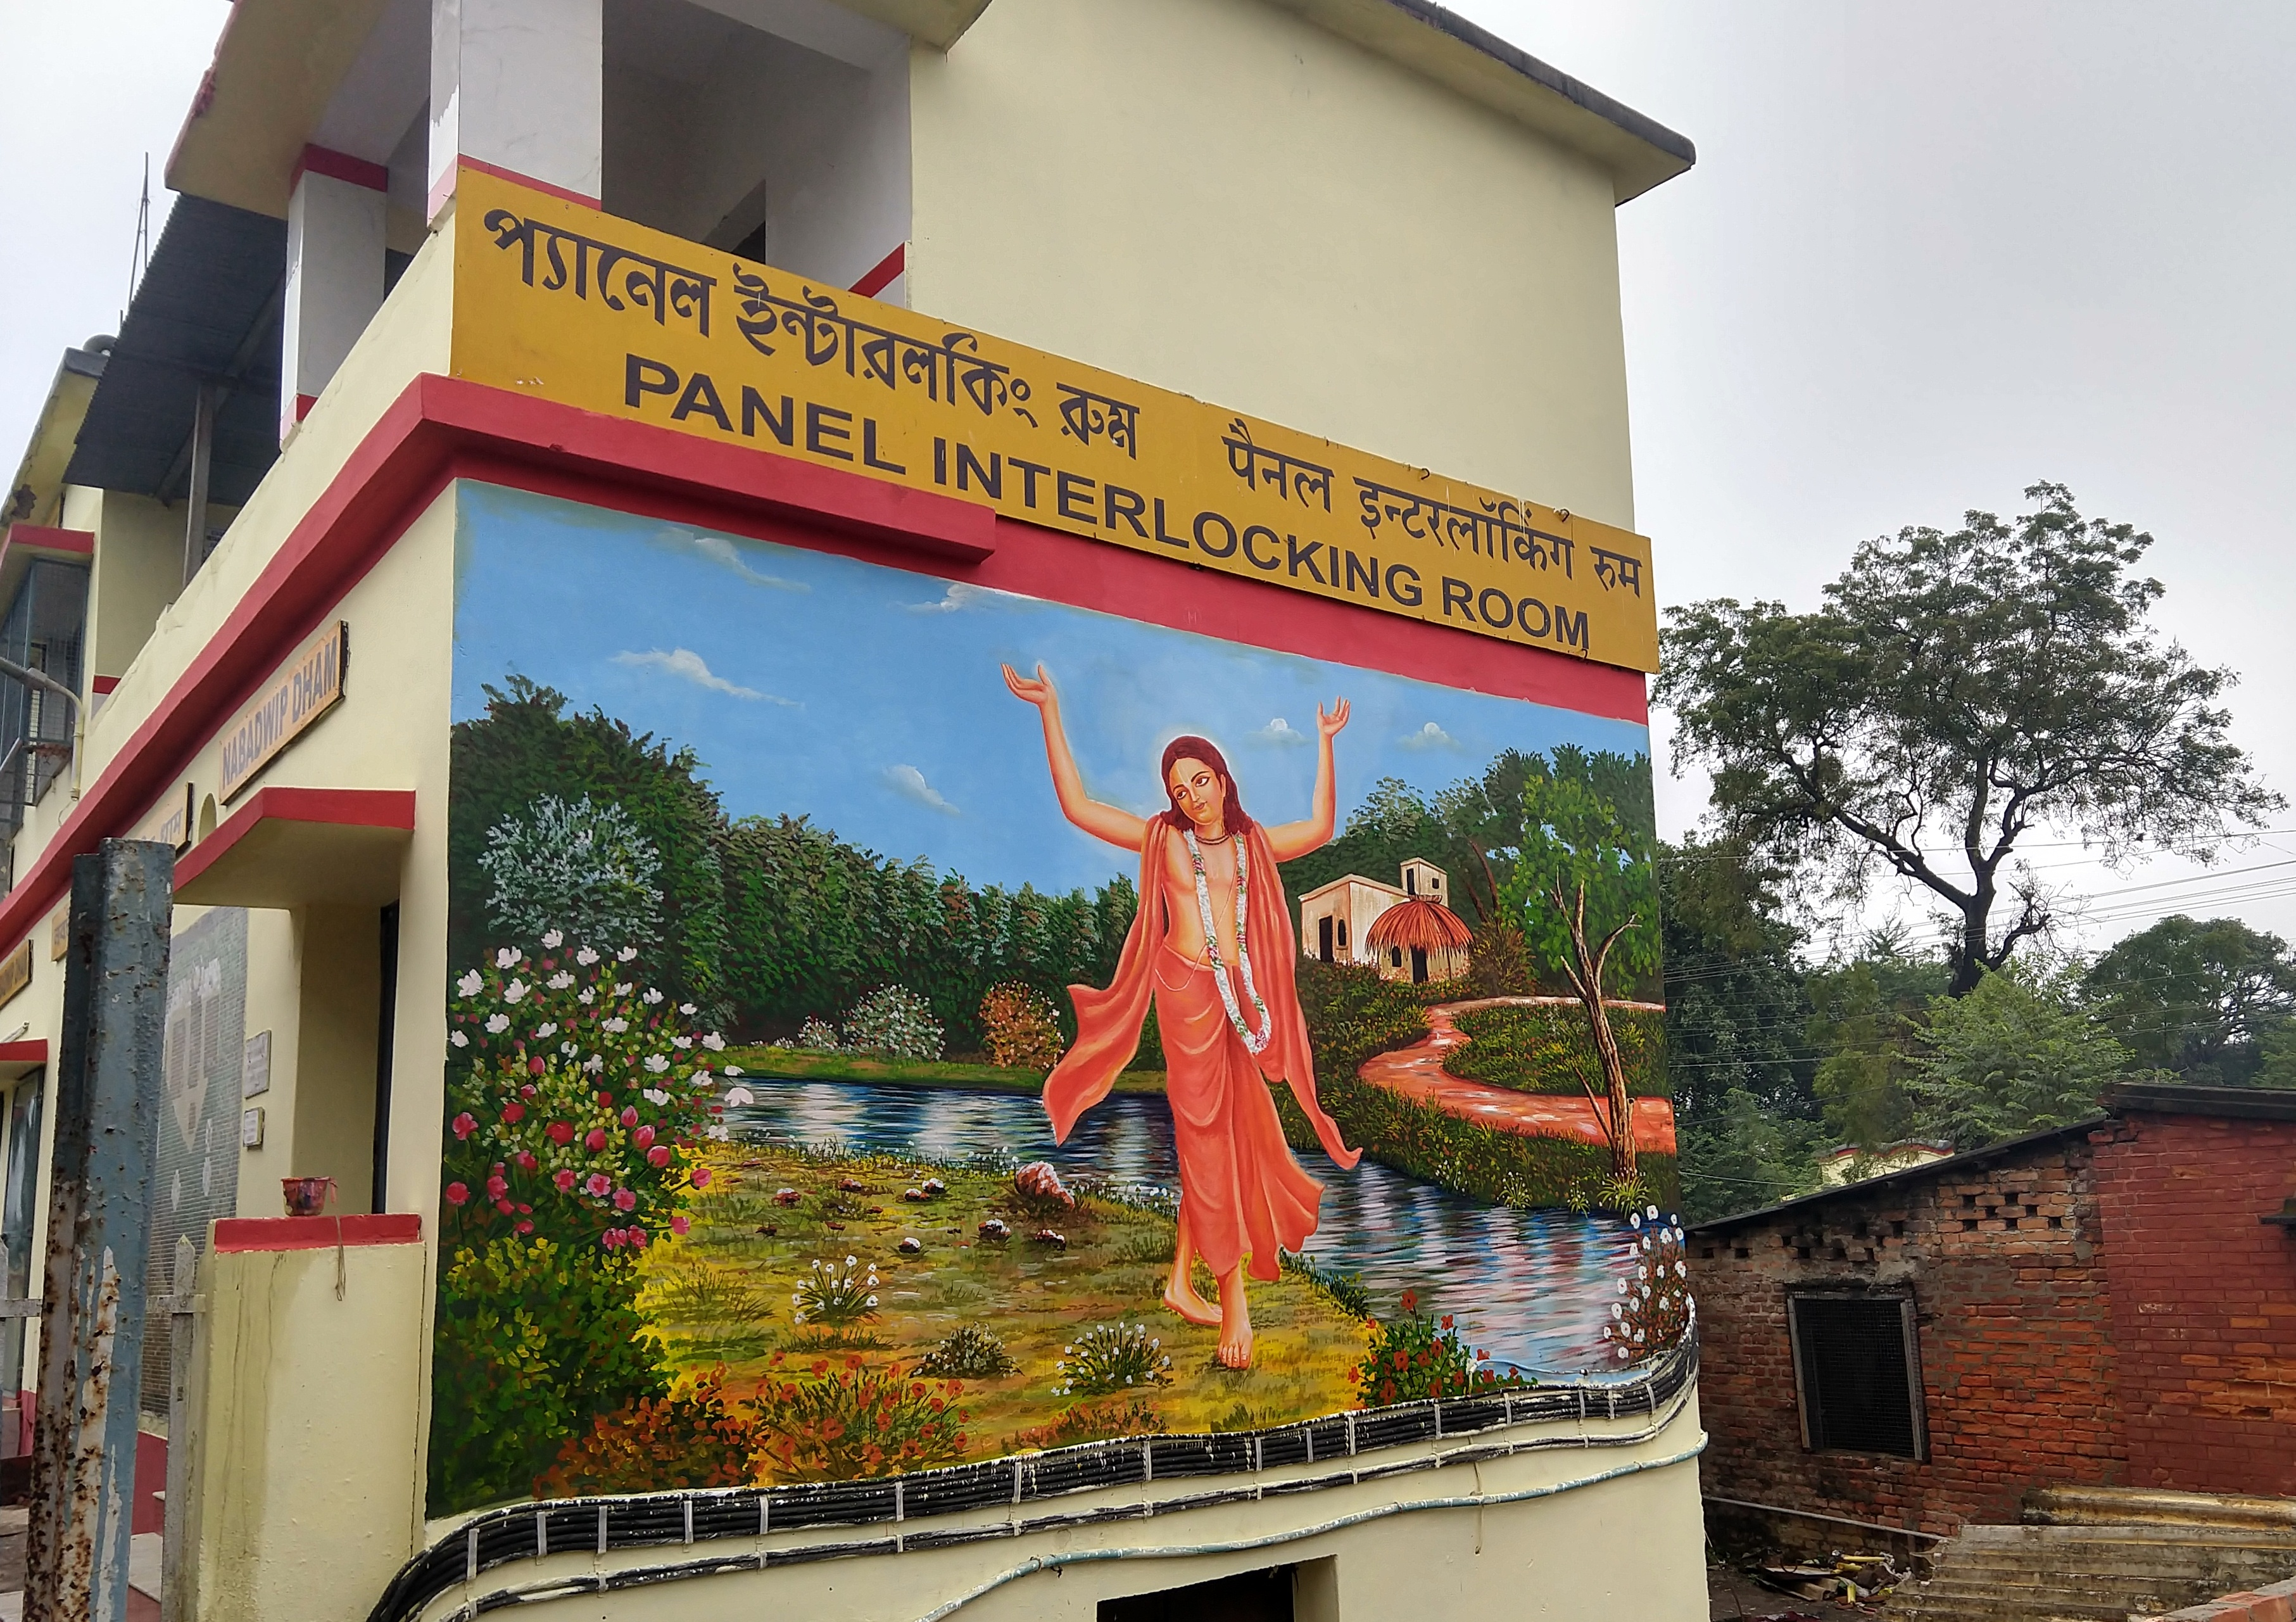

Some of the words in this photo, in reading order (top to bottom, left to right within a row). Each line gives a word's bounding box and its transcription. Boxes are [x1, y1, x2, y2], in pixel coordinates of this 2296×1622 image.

[479, 193, 724, 346] প্যানেল
[721, 249, 1046, 436] ইন্টারলকিং
[619, 347, 911, 478] PANEL
[1047, 378, 1151, 464] রুম
[1209, 404, 1339, 521] पैनल
[928, 431, 1427, 619] INTERLOCKING
[1347, 473, 1582, 586] इन्टरलॉकिंग
[1439, 569, 1598, 661] ROOM
[1583, 540, 1646, 602] रुम
[281, 629, 342, 723] DHAM
[210, 676, 294, 795] NABADWIP